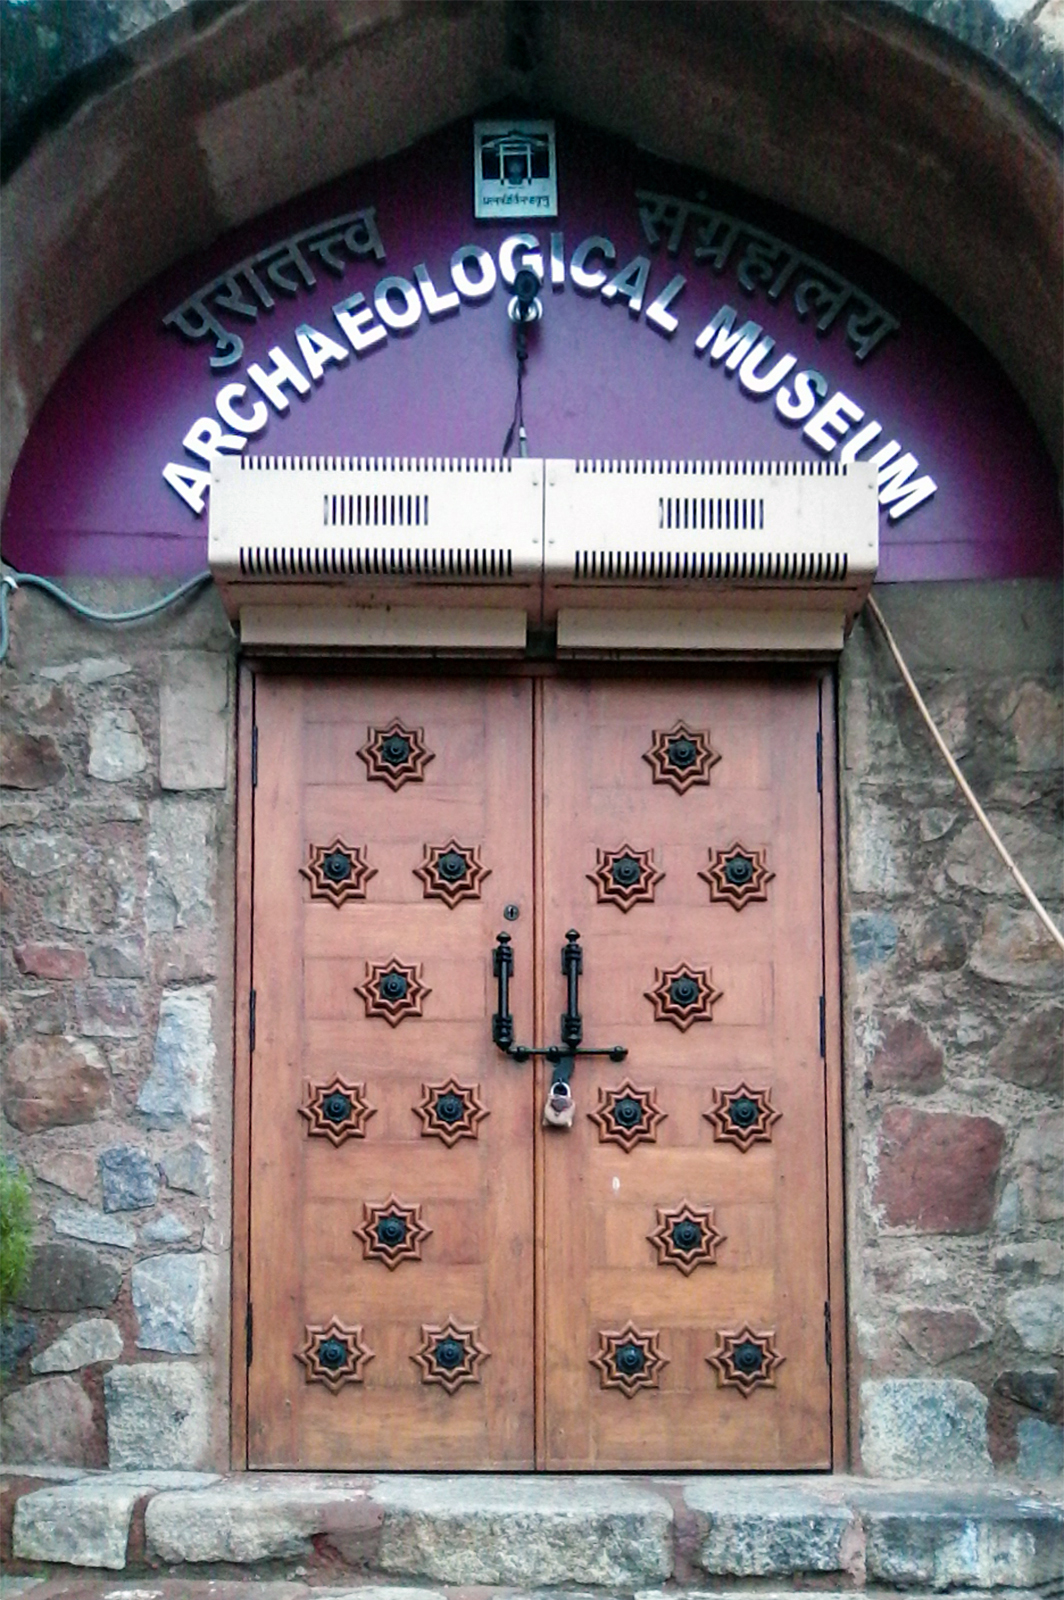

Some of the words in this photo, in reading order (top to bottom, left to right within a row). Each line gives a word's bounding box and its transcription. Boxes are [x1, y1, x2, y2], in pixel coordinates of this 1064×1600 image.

[160, 199, 392, 377] पुरातत्त्व
[154, 227, 693, 519] ARCHAEOLOGICAL
[629, 187, 907, 367] सग्रहालय
[688, 302, 941, 527] MUSEUM